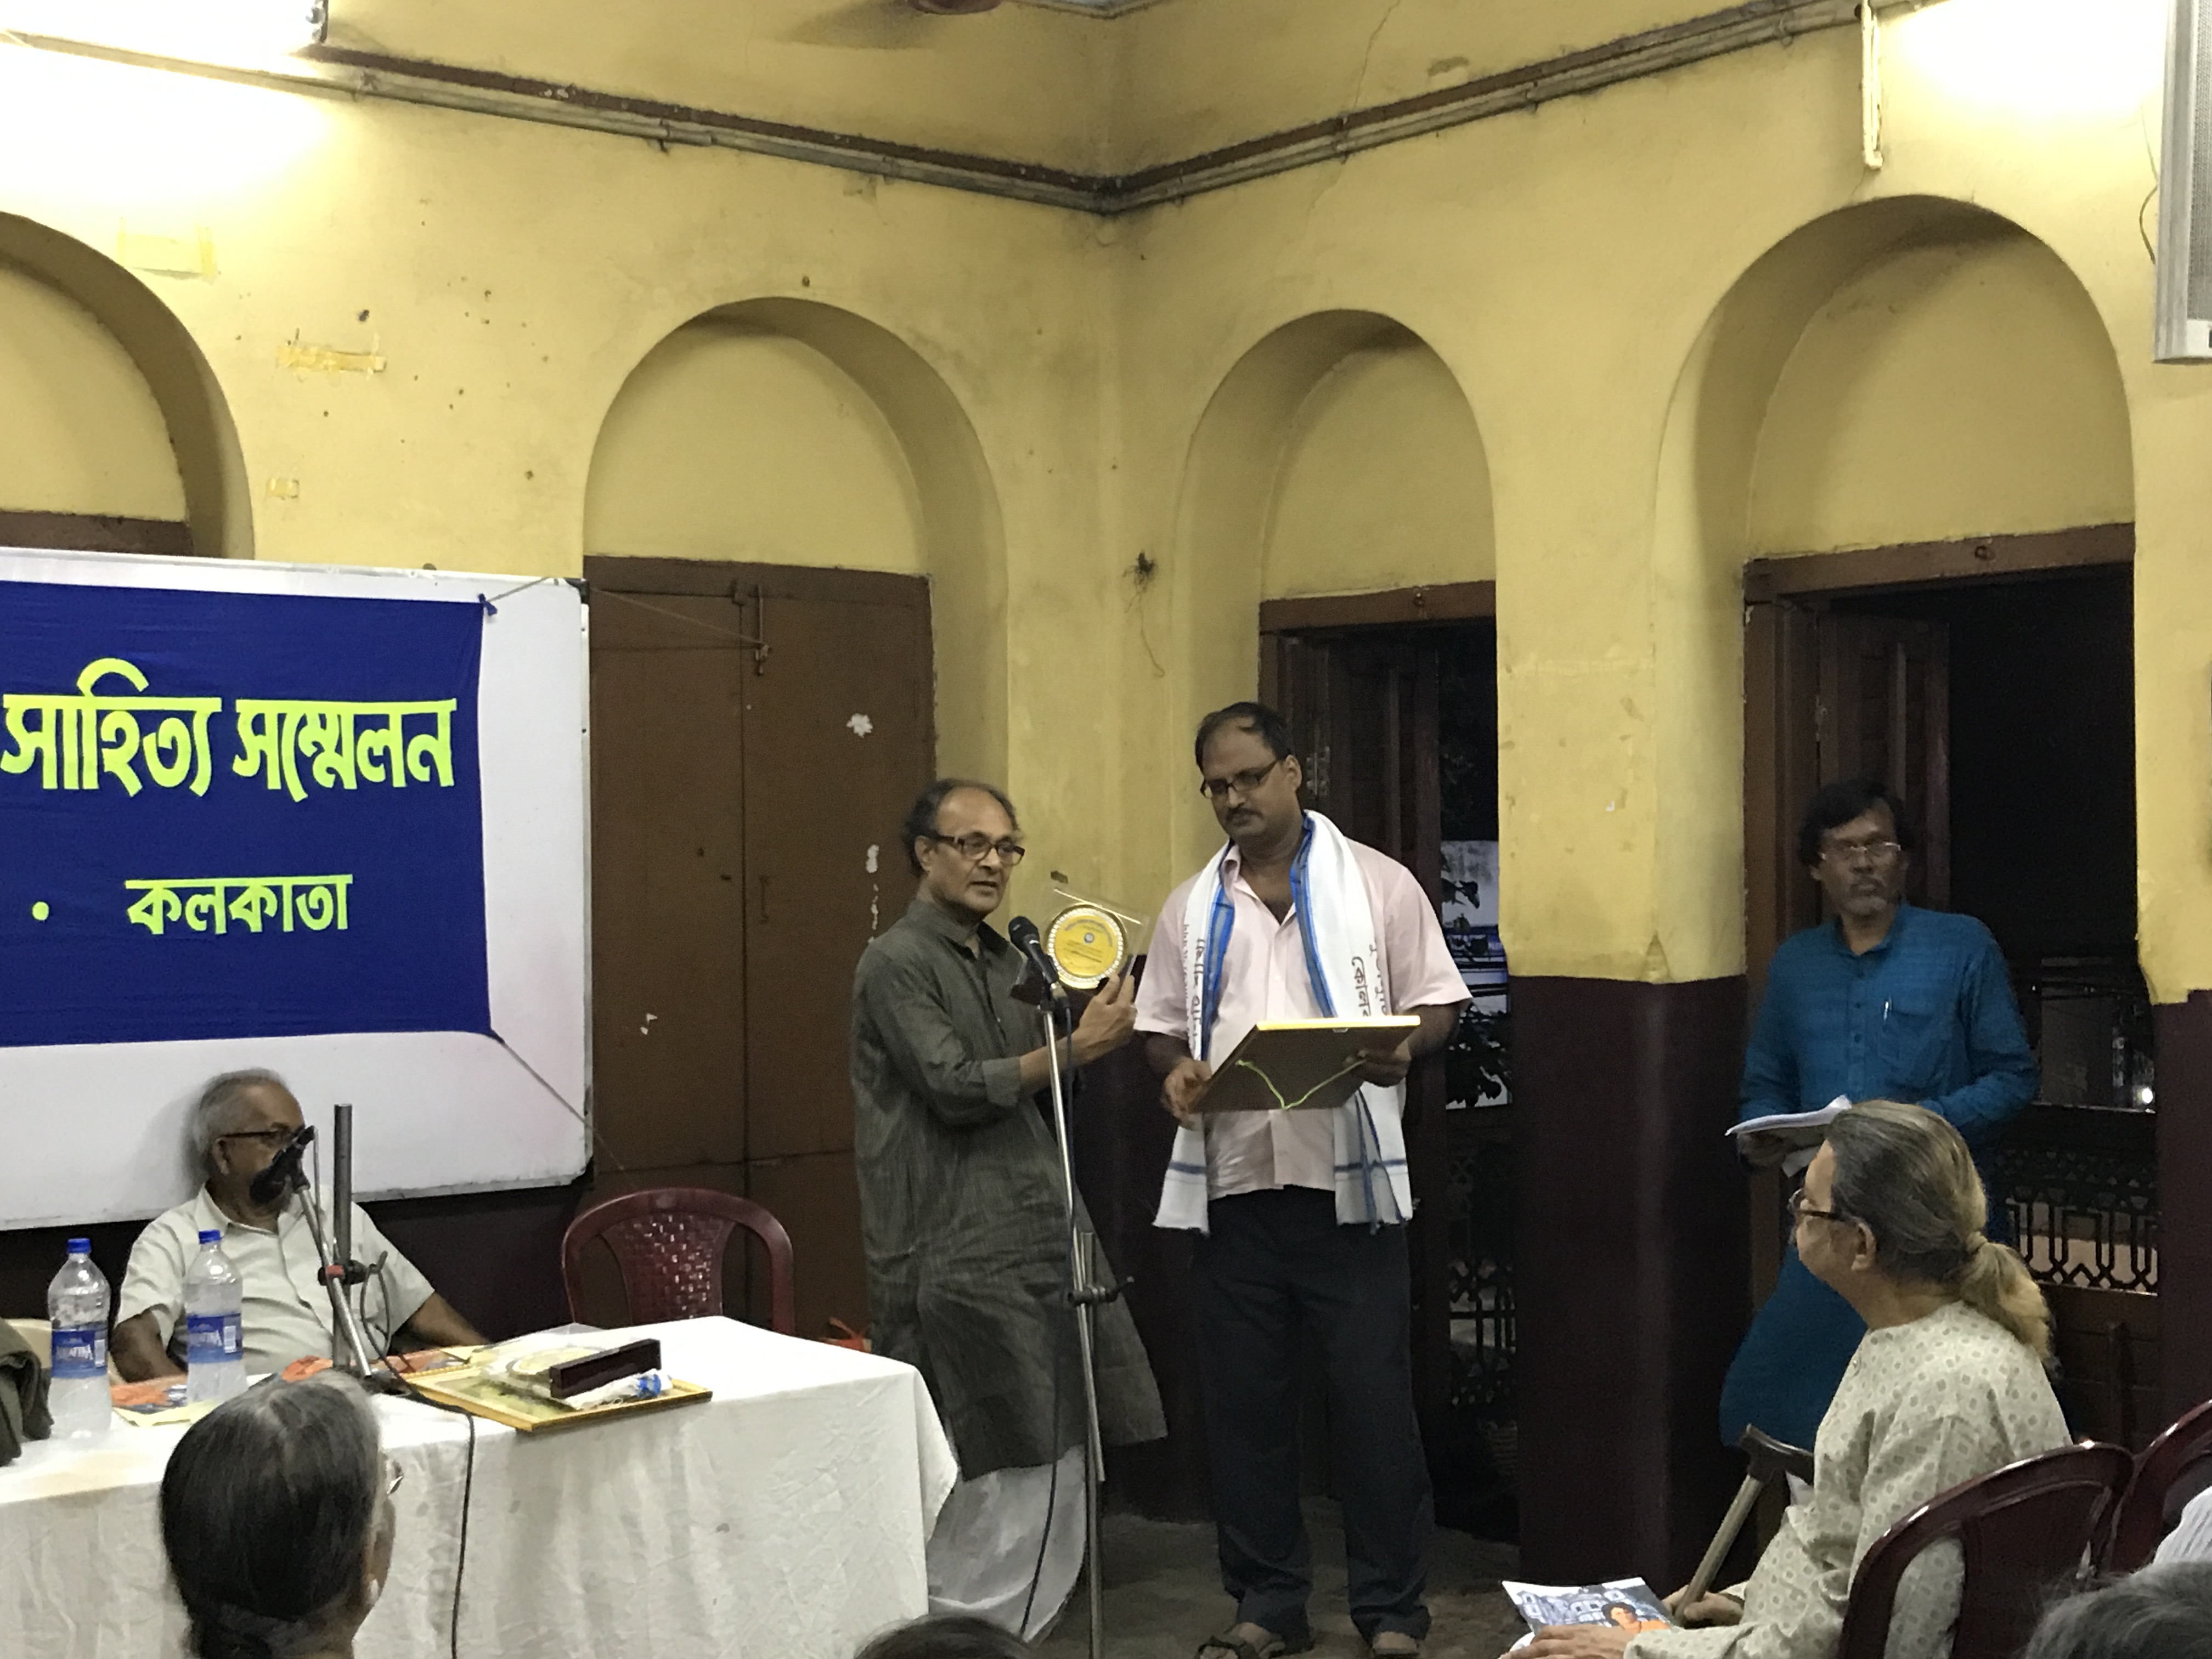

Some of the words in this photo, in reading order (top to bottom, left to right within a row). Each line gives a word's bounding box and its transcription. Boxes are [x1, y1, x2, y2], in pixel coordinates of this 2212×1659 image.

[0, 636, 233, 803] সাহিত্য
[223, 691, 462, 806] সম্মেলন
[114, 869, 358, 943] কলকাতা